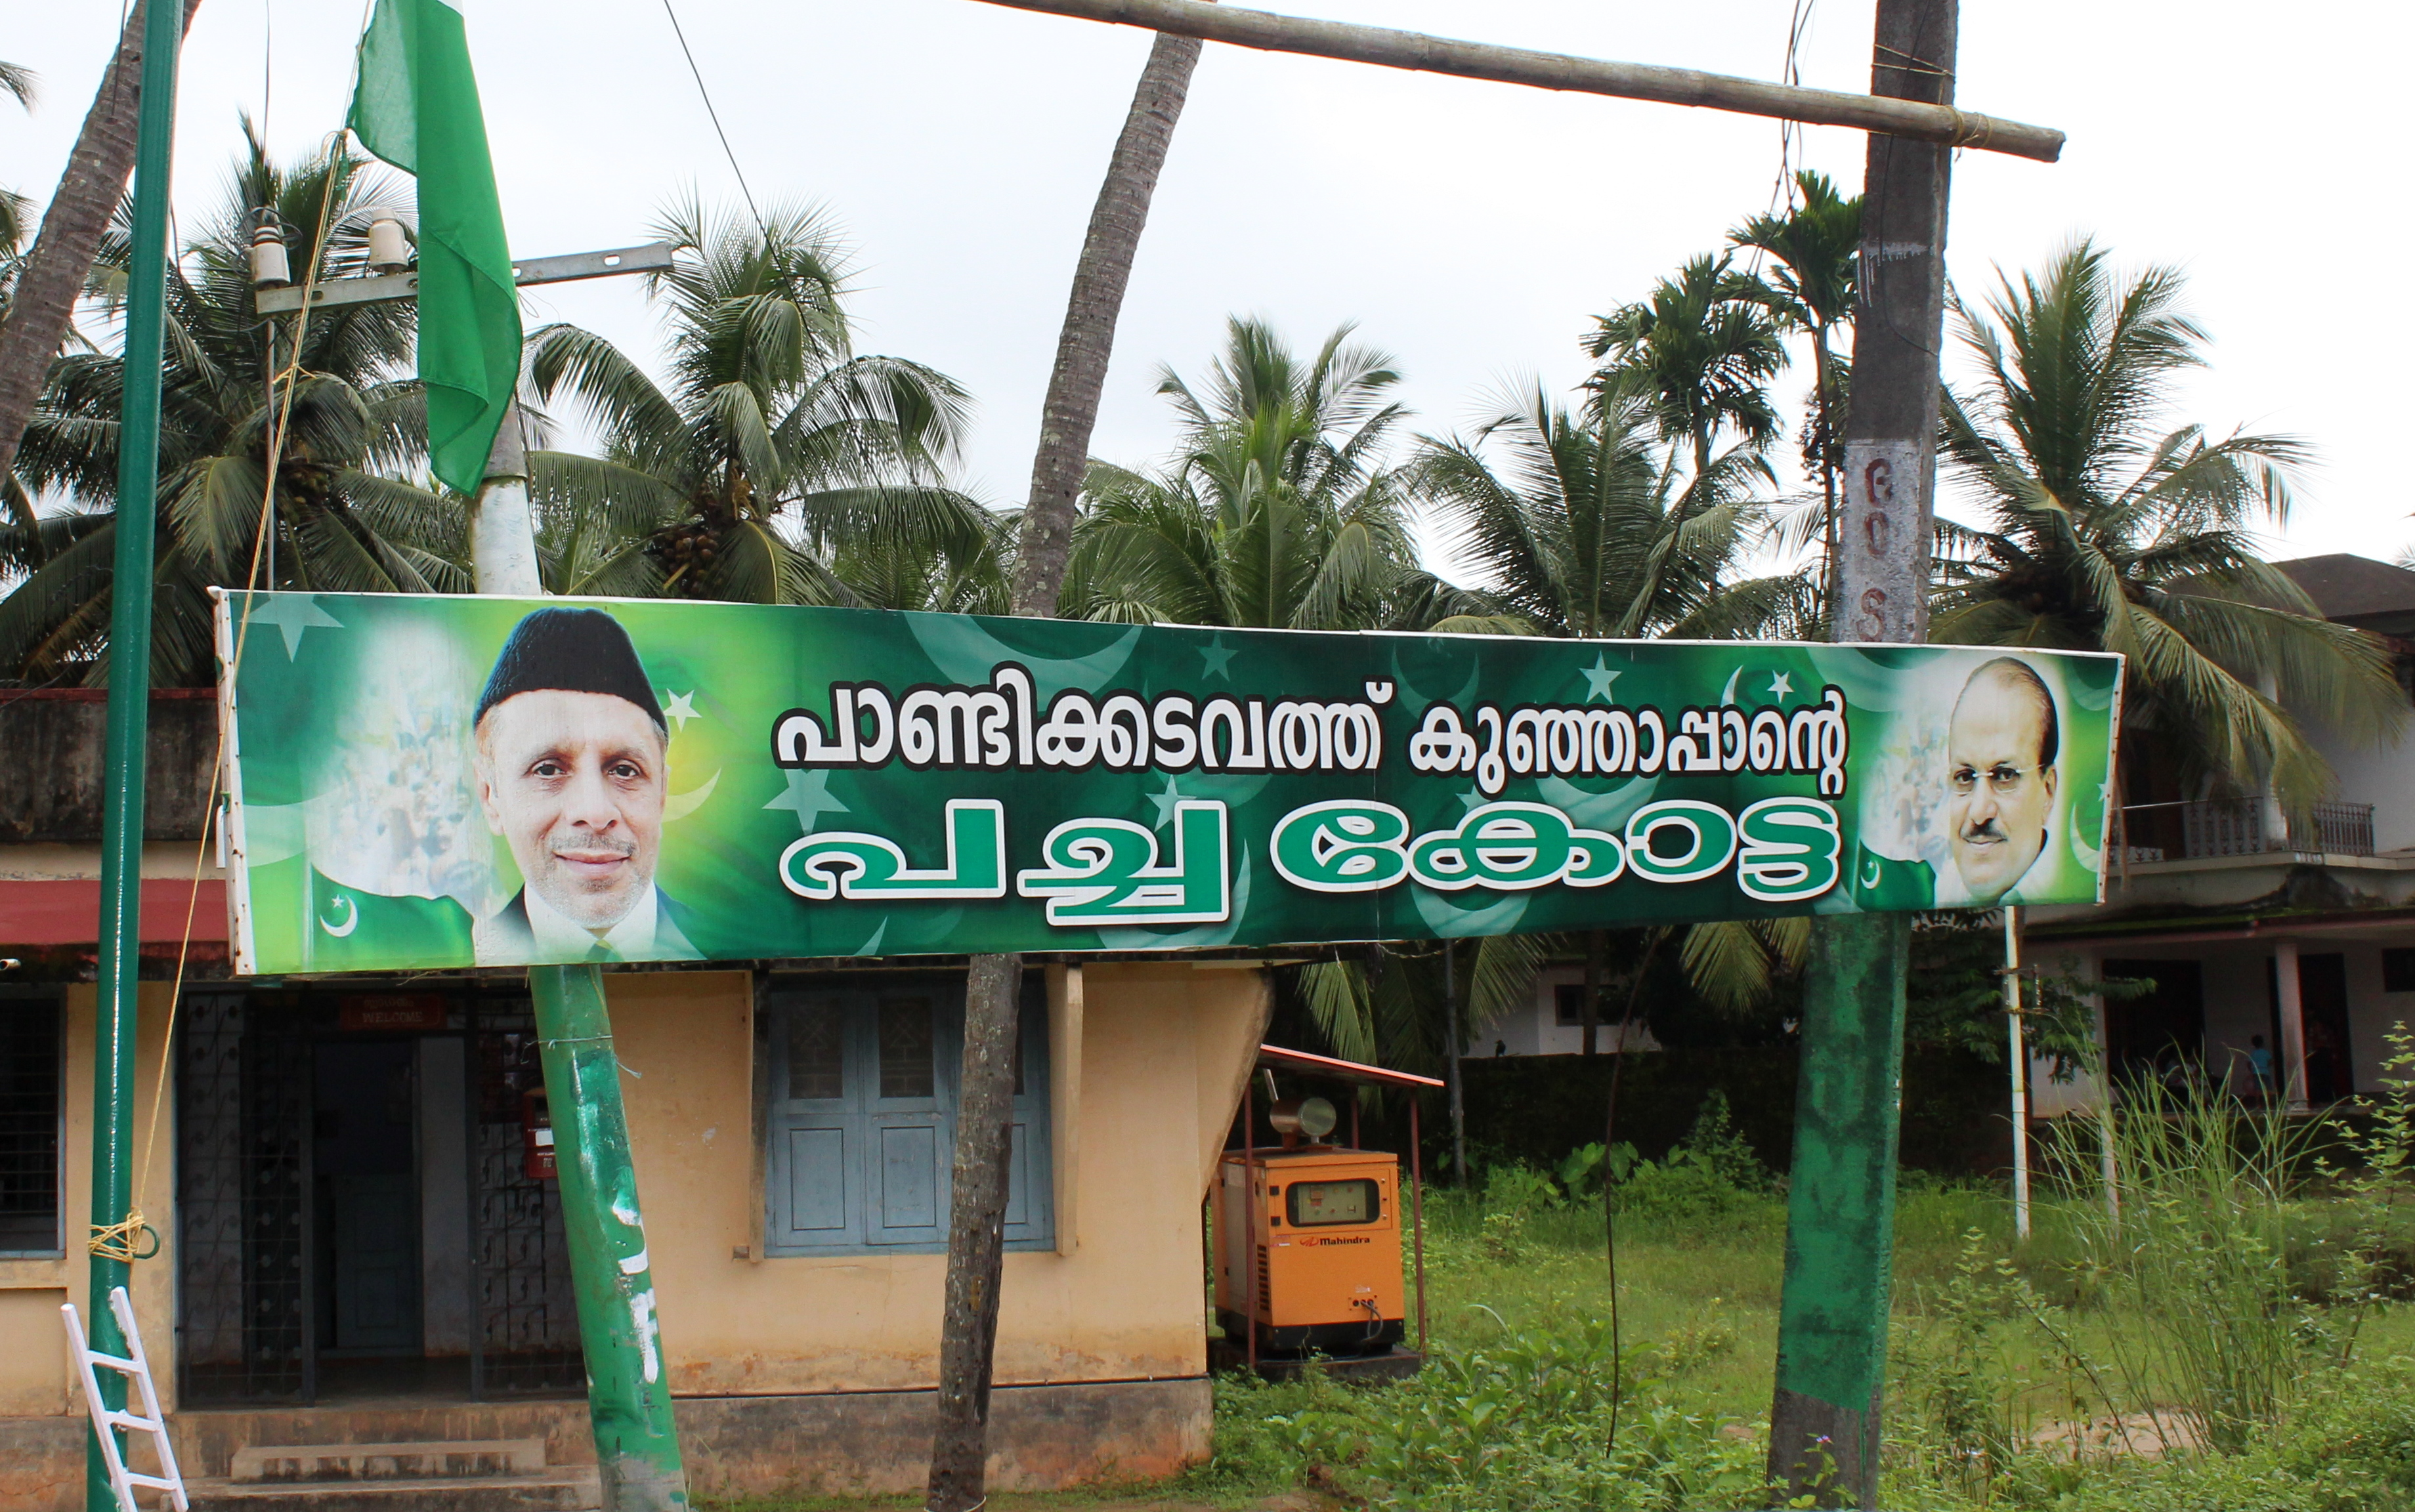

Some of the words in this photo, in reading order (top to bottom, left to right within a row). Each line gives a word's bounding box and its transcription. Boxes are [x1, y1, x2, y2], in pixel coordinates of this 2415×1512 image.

[761, 656, 1395, 772] പാണ്ടിക്കടവത്ത്
[1408, 679, 1856, 802] കുഞ്ഞാപ്പാൻ്റെ
[773, 790, 1231, 930] പച്ച
[1259, 787, 1845, 904] കോട്ട
[362, 1009, 425, 1026] WELCOME
[1312, 1230, 1373, 1247] Mahindra